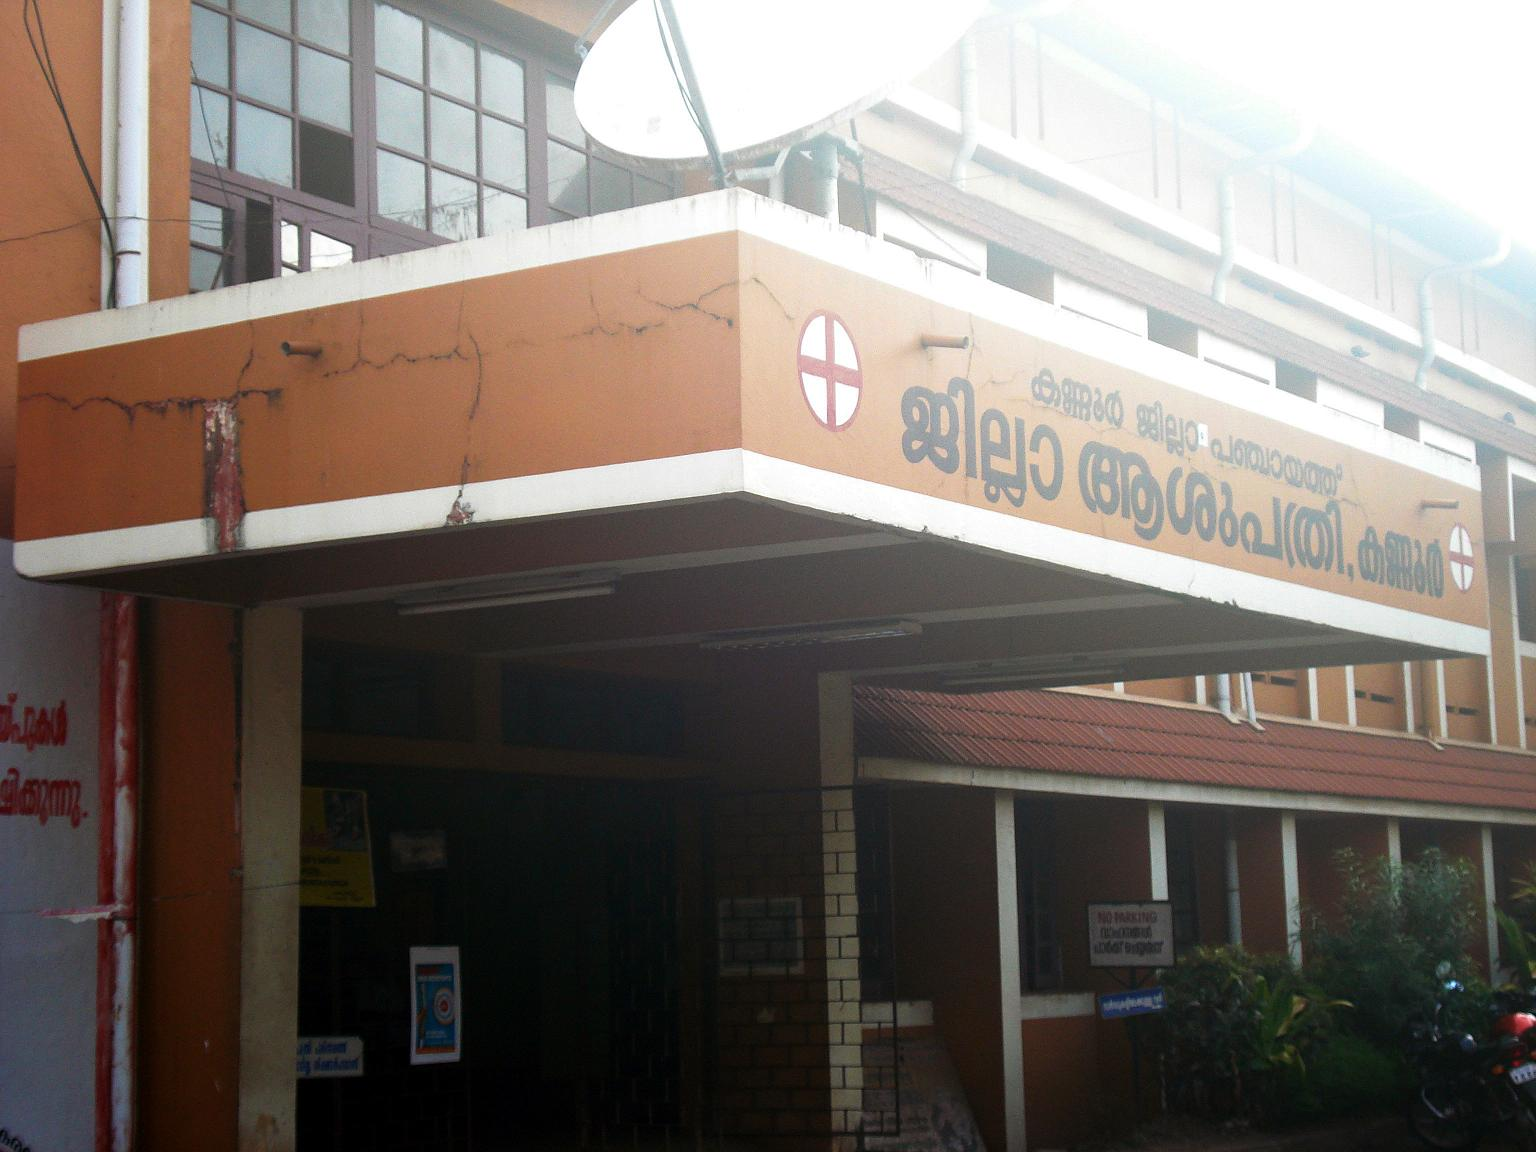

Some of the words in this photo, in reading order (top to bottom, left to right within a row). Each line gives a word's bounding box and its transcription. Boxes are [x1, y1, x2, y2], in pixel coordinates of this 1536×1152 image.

[890, 369, 1070, 517] ജില്ലാ
[1025, 365, 1129, 435] കജൂർ
[1127, 399, 1209, 459] ജില്ലാ
[1197, 428, 1350, 503] പഞ്ചായത്ത്
[1068, 432, 1351, 581] ആശംപത്രി
[1352, 519, 1455, 602] കണ്ണൂർ
[1, 757, 100, 832] ചിക്കുന്നു
[1094, 906, 1117, 928] NO
[1108, 904, 1162, 928] PARKING